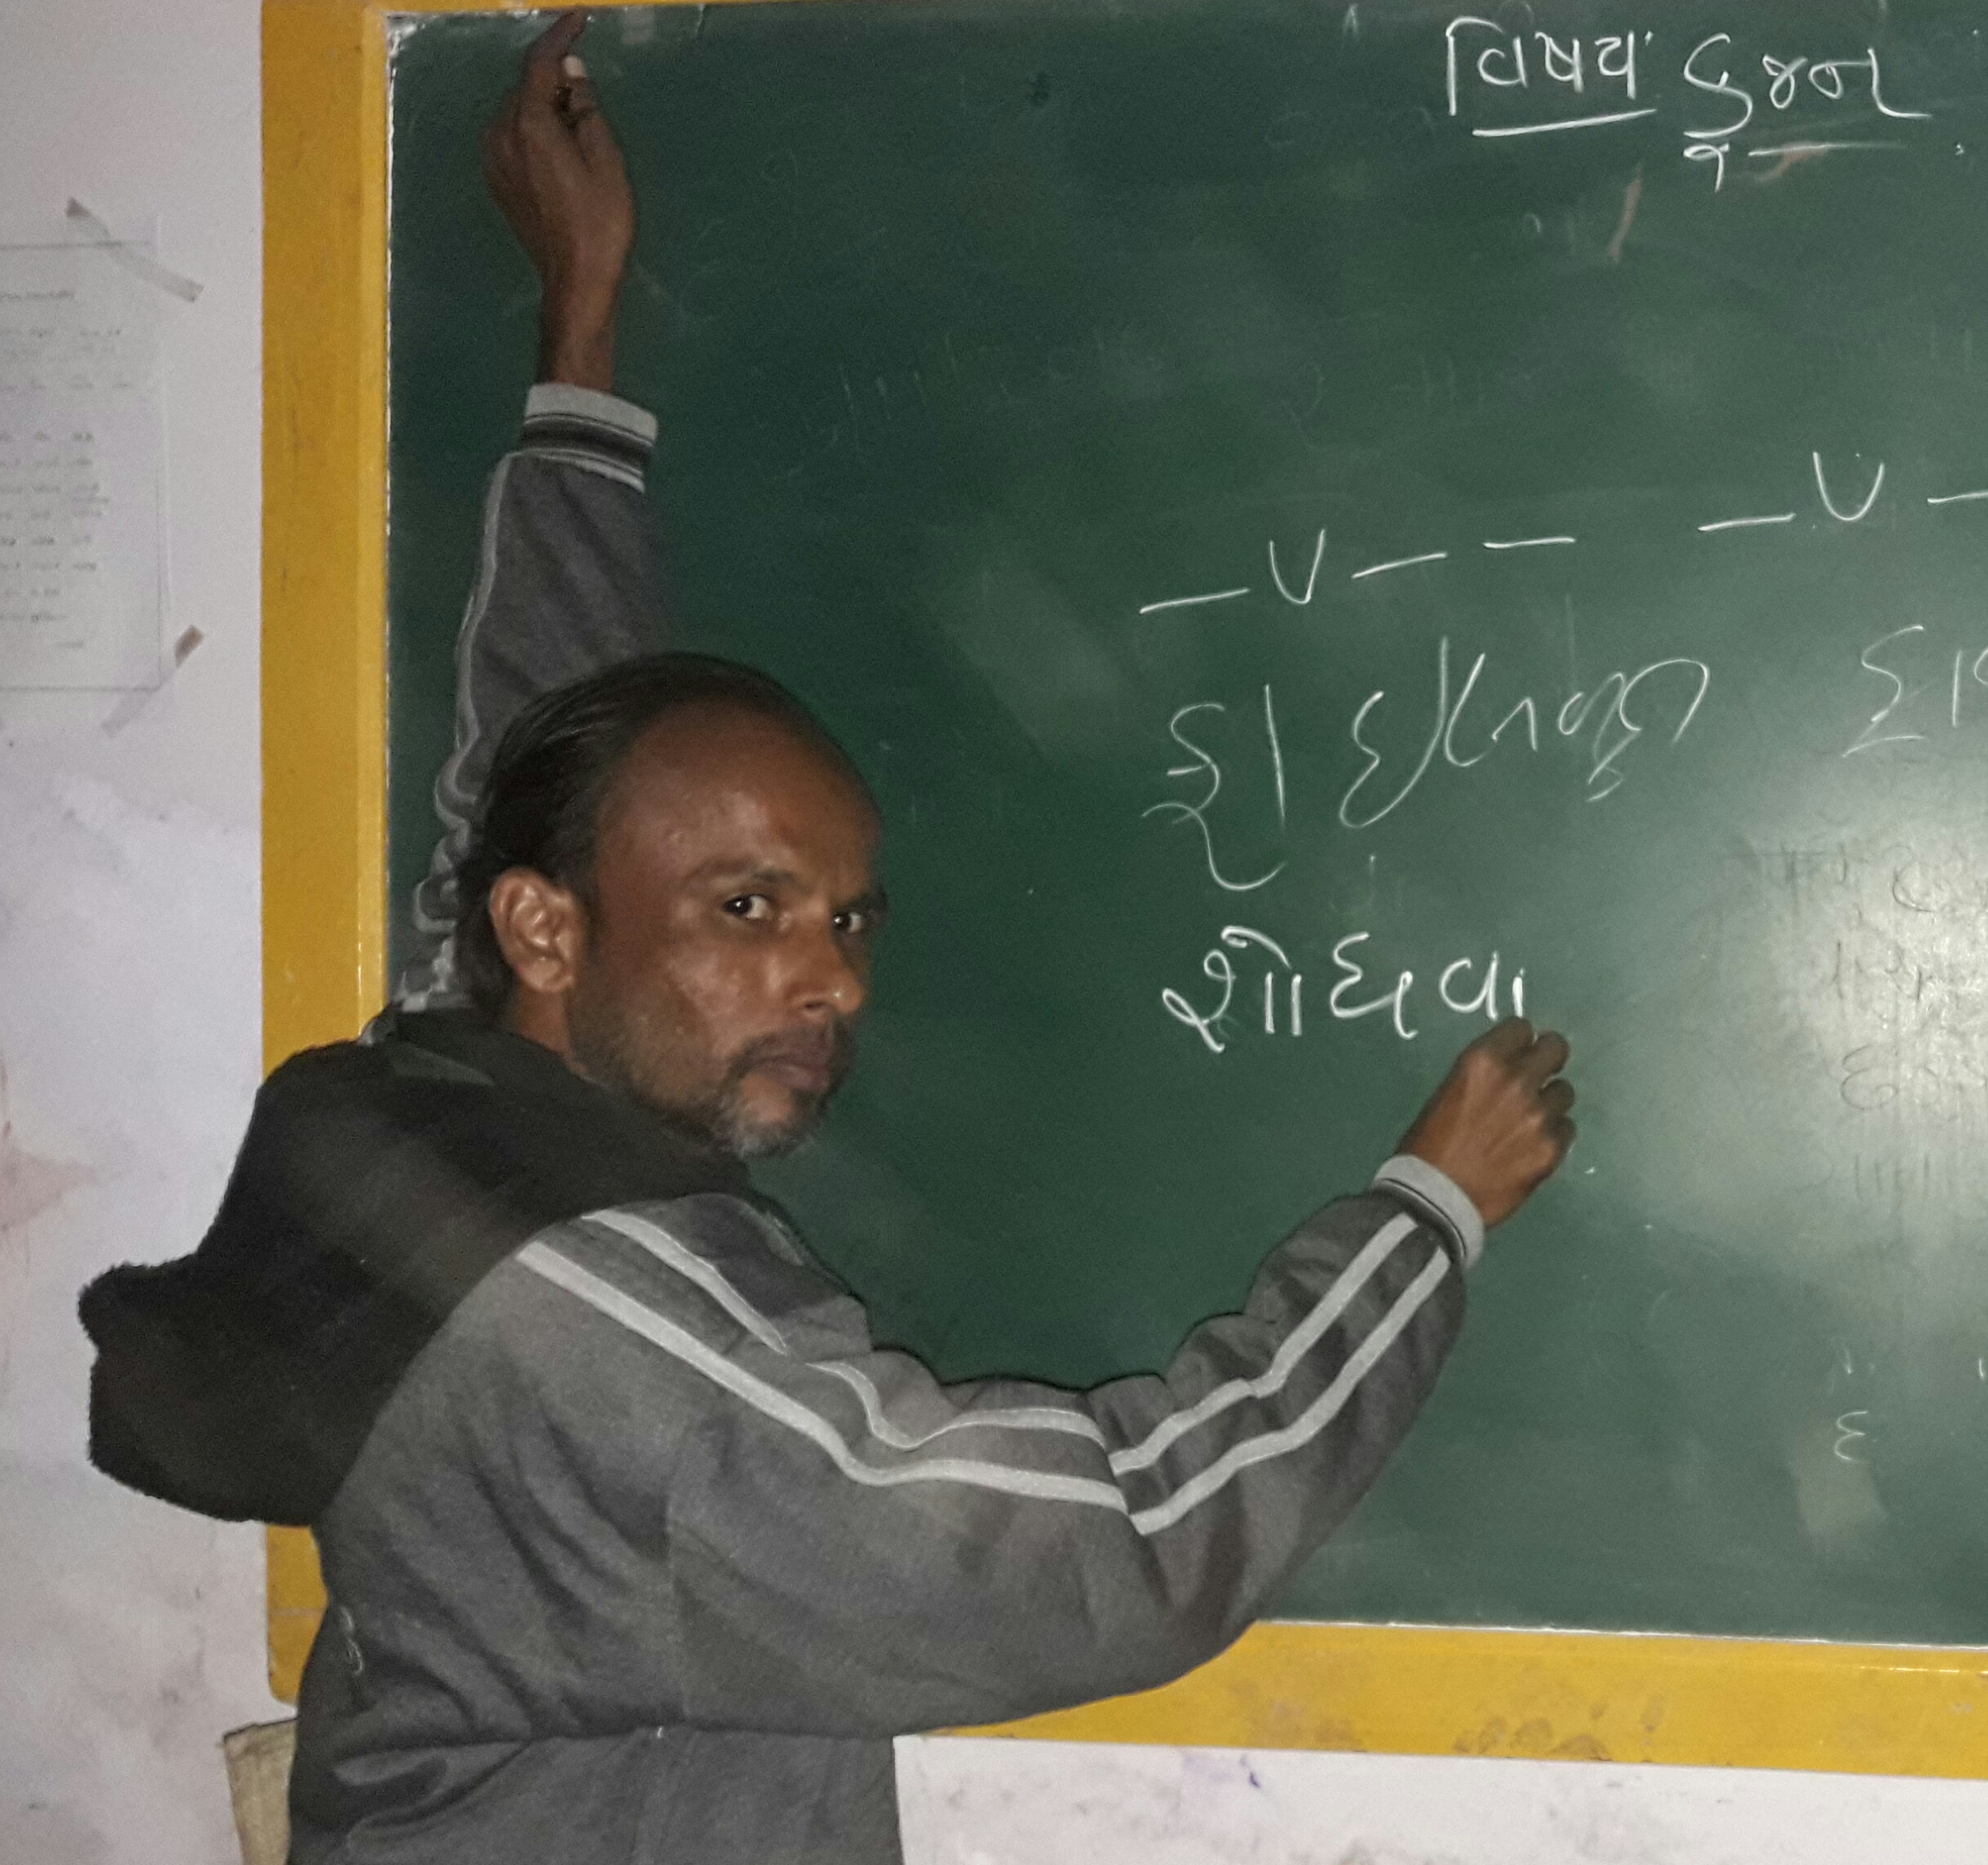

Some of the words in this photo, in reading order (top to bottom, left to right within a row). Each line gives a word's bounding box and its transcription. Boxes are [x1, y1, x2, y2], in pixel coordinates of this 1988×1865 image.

[1433, 10, 1668, 126] વિષય
[1668, 21, 1942, 198] કૂજન
[1795, 438, 1893, 531] U
[1256, 516, 1341, 621] U
[1158, 910, 1528, 1056] શોધવા